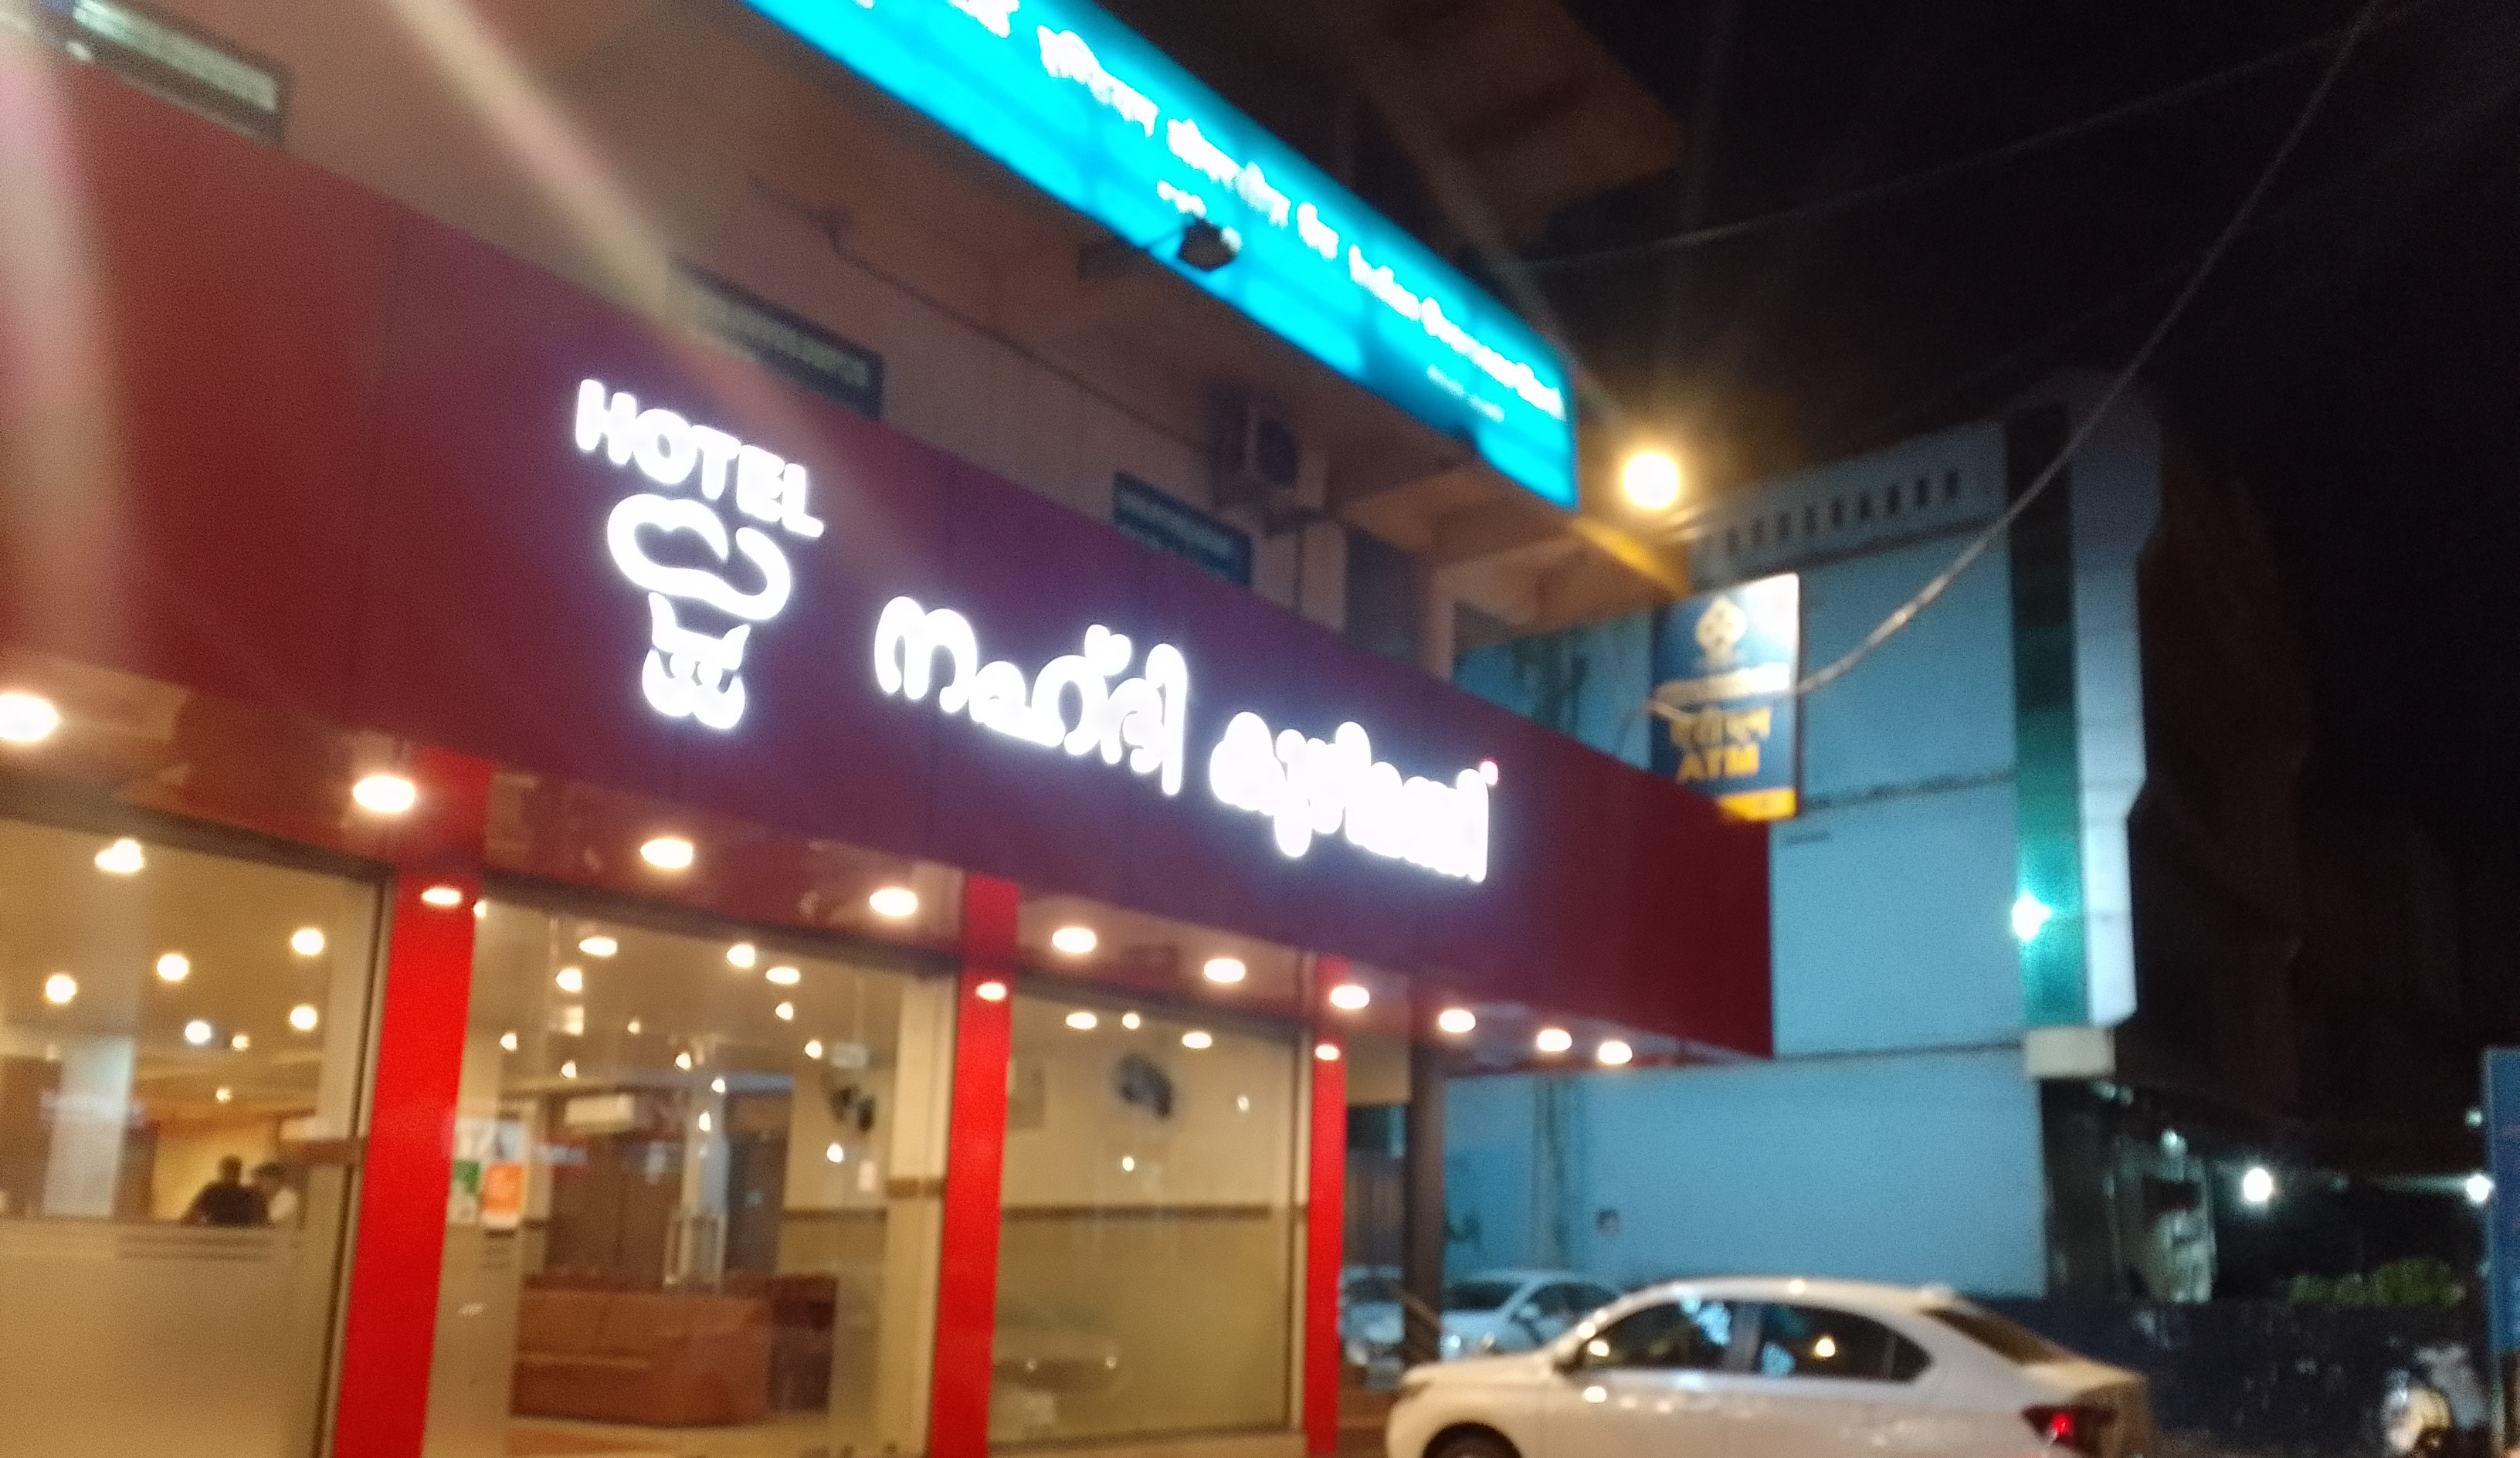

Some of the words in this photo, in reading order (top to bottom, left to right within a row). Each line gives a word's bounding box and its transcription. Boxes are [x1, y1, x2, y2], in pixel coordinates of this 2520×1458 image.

[1033, 19, 1162, 146] इण्डियन
[553, 363, 834, 548] HOTEL
[857, 579, 1192, 805] നഹ്ദി